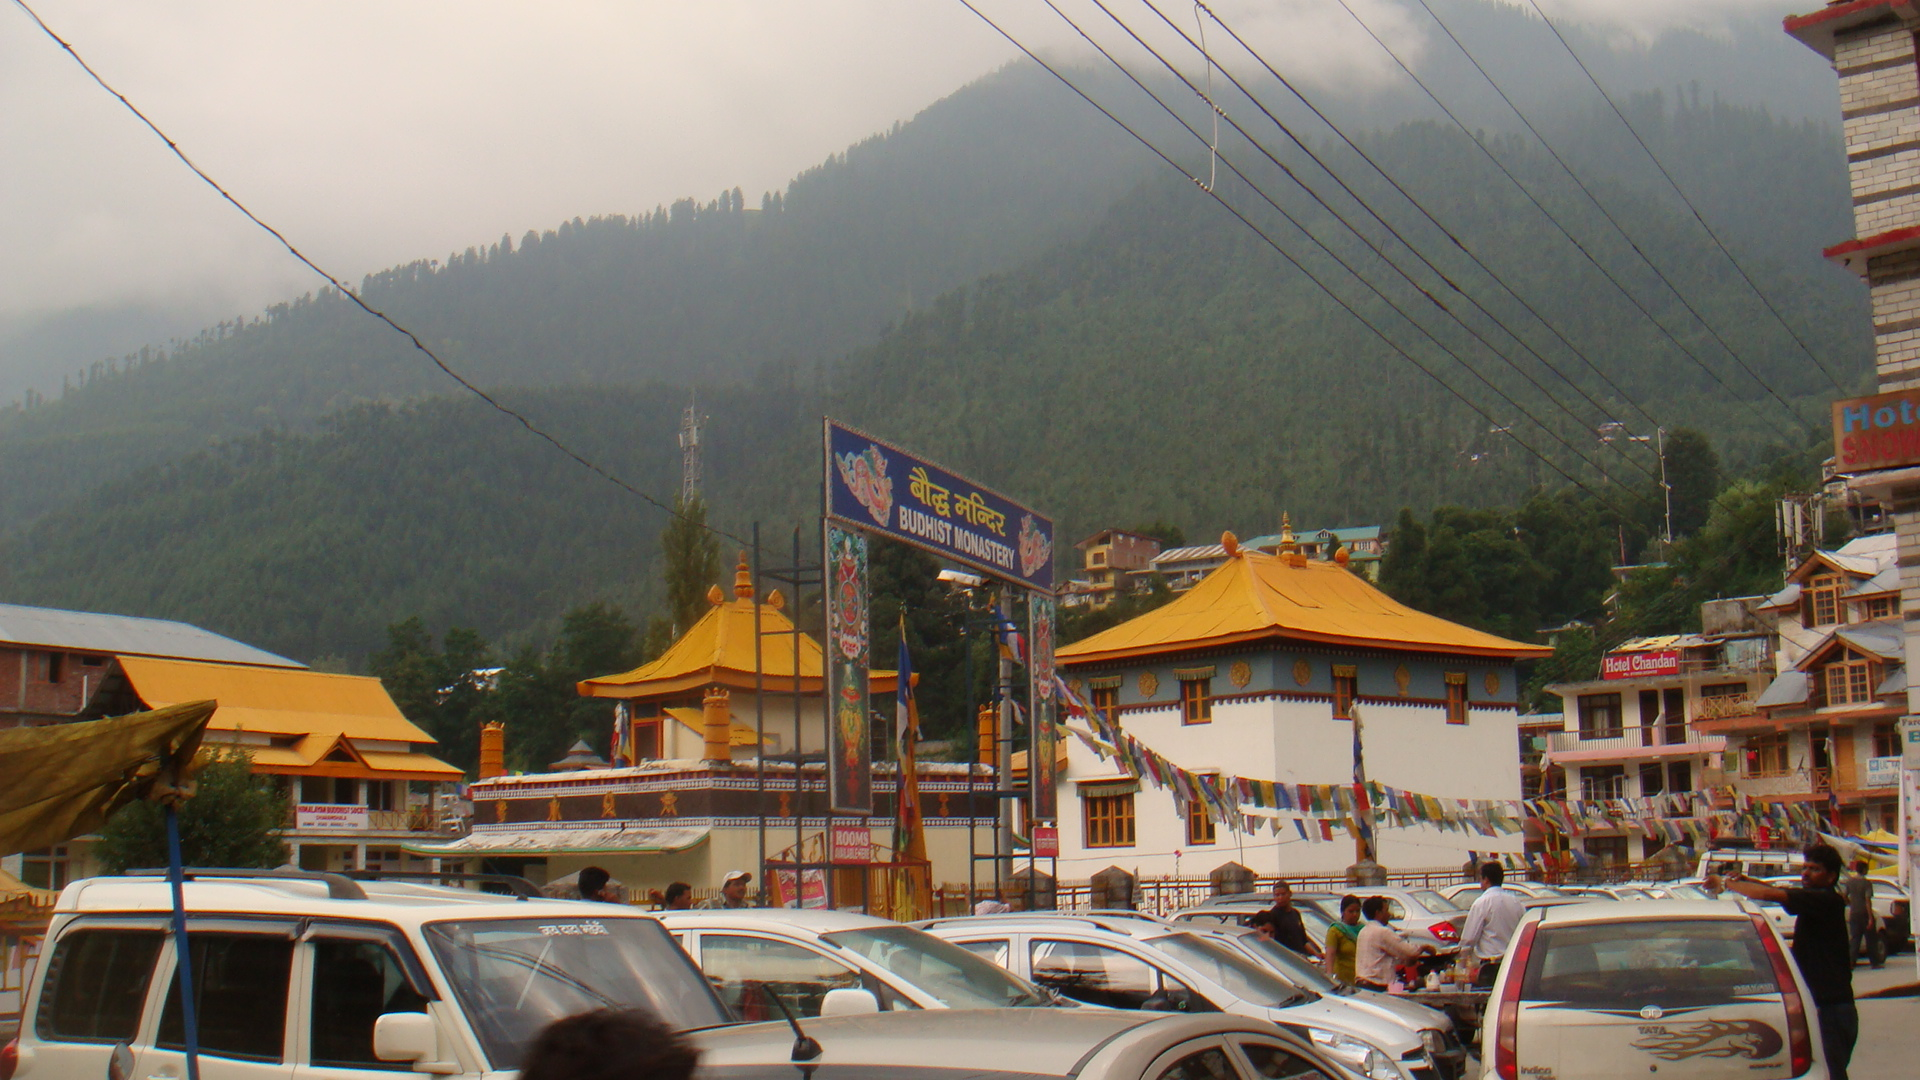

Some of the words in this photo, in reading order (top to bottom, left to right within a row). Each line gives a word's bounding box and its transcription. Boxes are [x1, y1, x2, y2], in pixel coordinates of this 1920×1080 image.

[899, 503, 953, 548] BUDHIST
[906, 461, 951, 519] बौद्घ
[952, 489, 1009, 541] मन्दिर
[951, 523, 1018, 573] MONASTERY
[1601, 653, 1637, 677] Hotel
[1628, 649, 1683, 675] Chandan